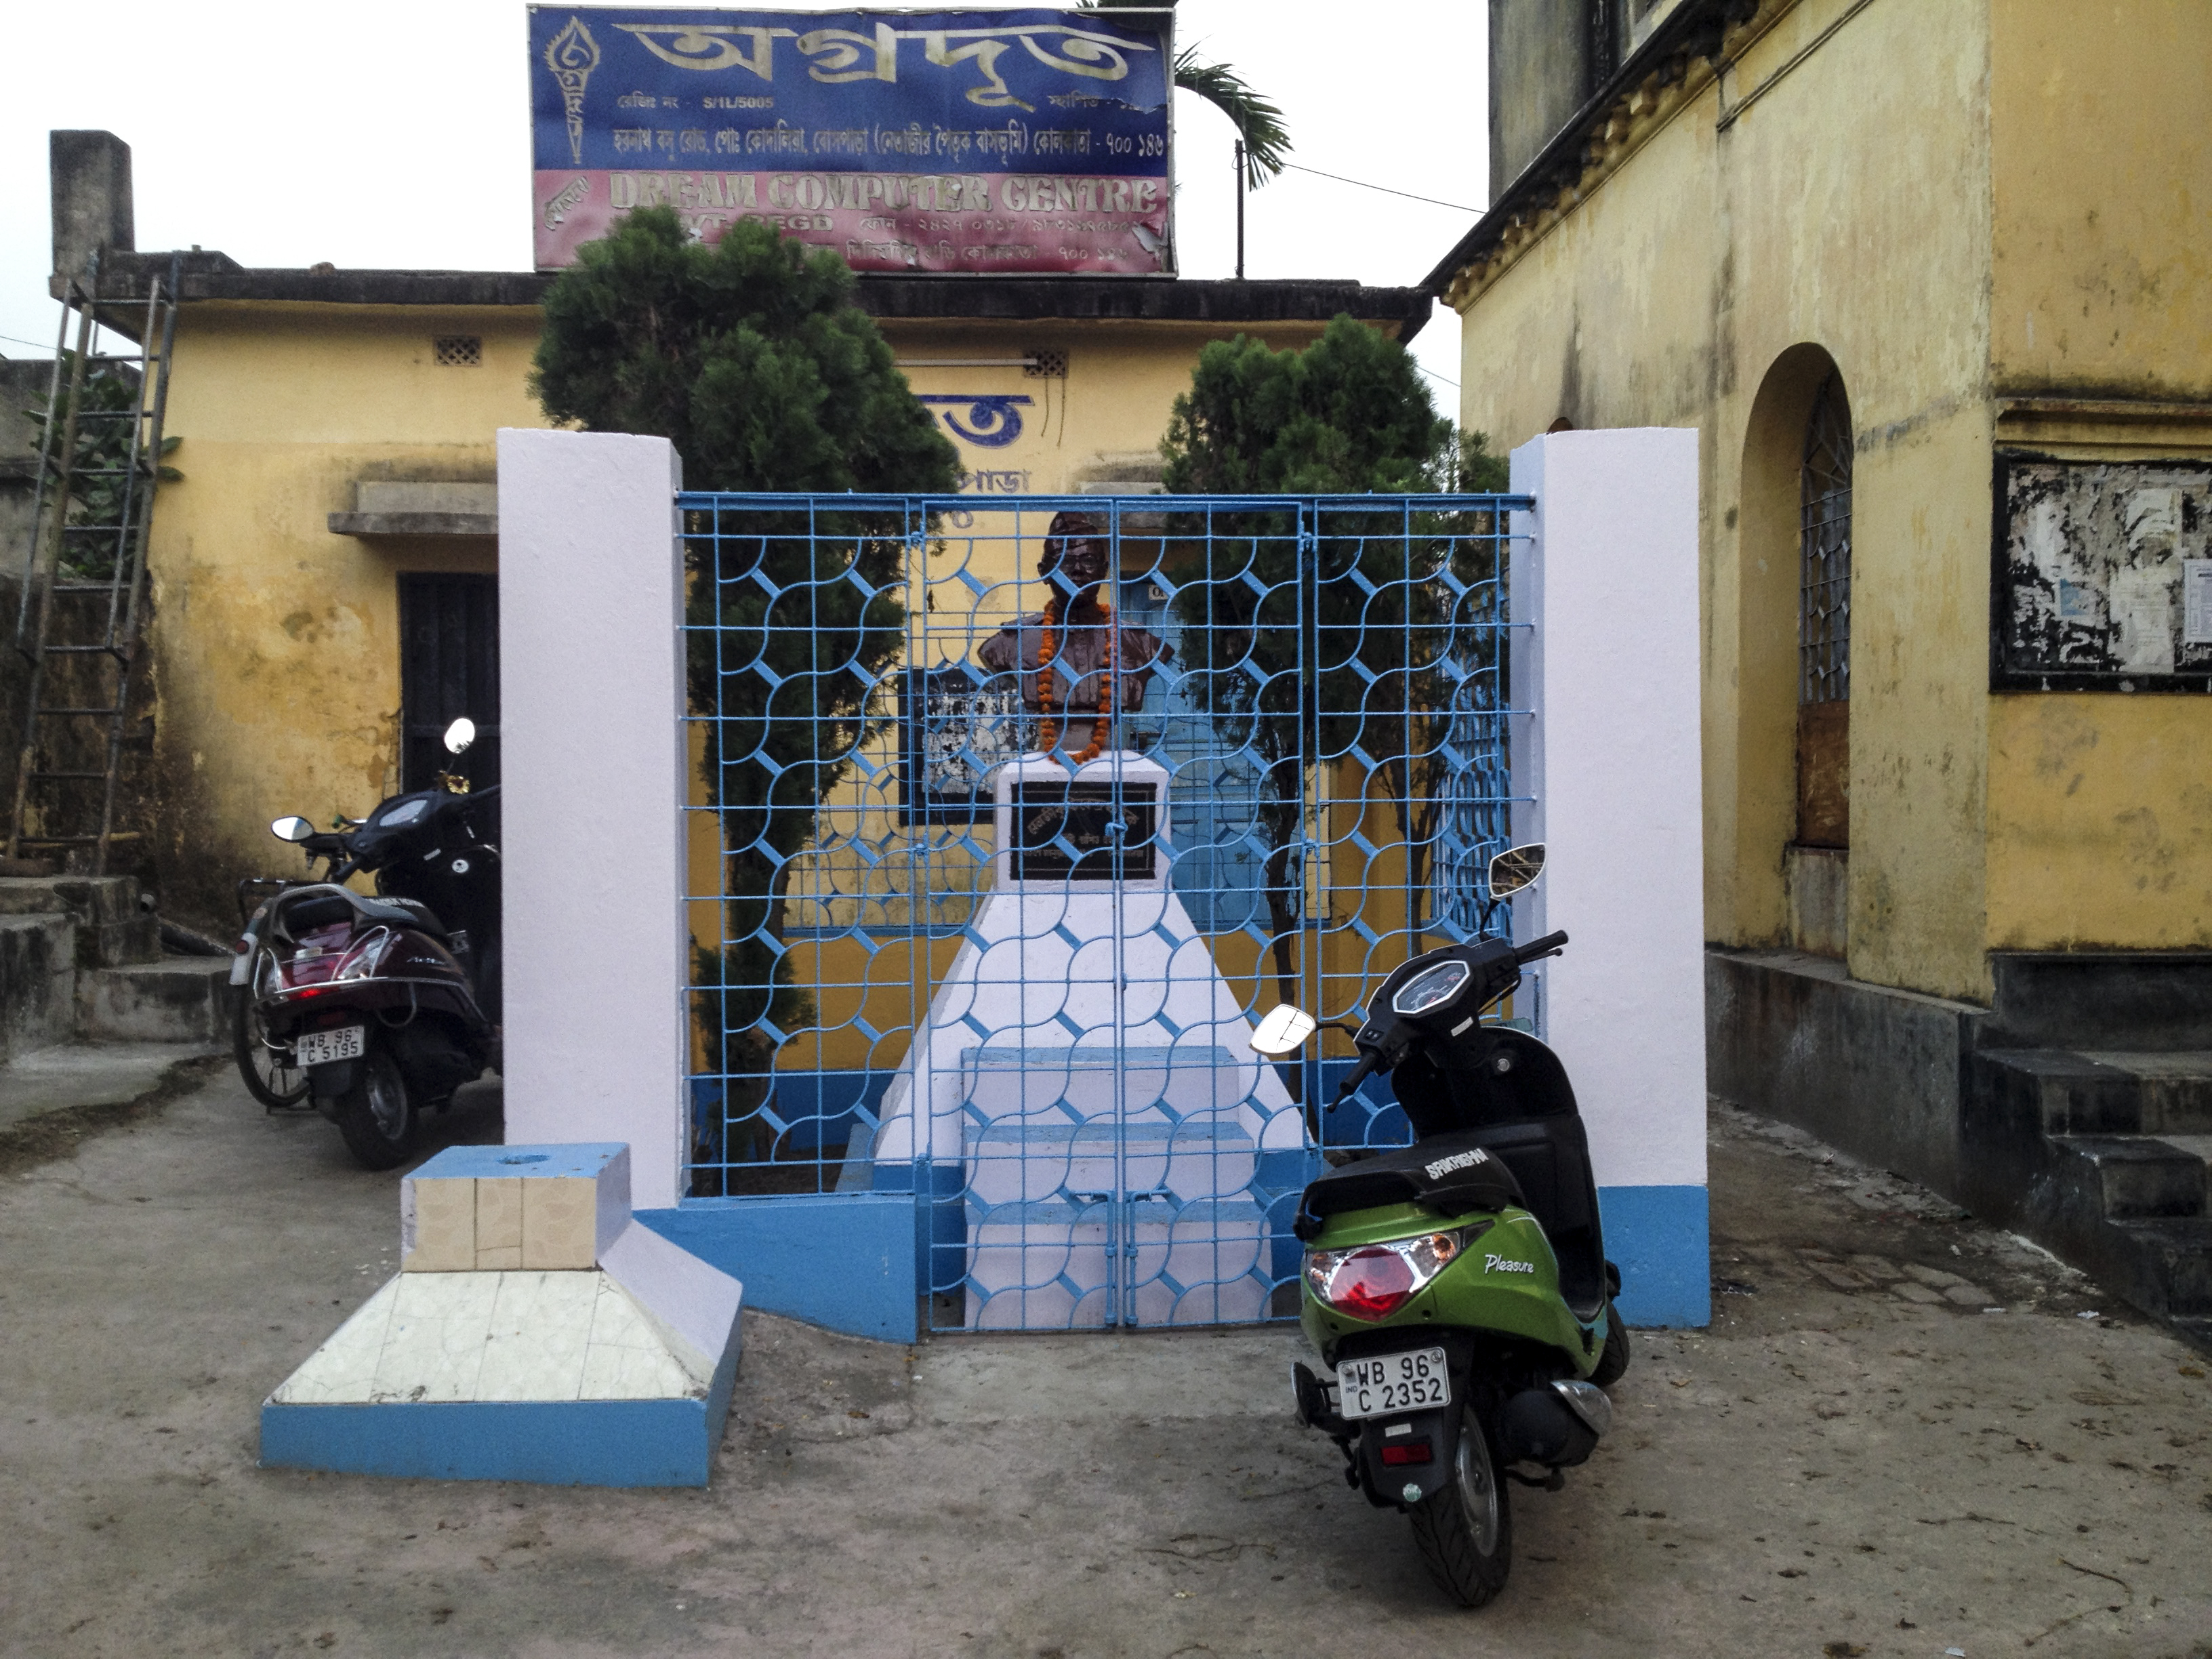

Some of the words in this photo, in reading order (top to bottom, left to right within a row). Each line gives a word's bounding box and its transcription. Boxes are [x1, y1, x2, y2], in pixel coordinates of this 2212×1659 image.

[615, 18, 1158, 119] অগ্রদূত
[613, 83, 661, 113] রেজিঃ
[656, 91, 682, 114] নং
[699, 92, 778, 112] S/IL/5005
[1043, 83, 1106, 115] স্থাপিত
[607, 123, 655, 157] হরনাথ
[652, 121, 712, 165] বসু রোড,
[709, 118, 744, 158] পোঃ
[743, 113, 812, 159] কোদালিয়া
[807, 126, 874, 159] বোসপাড়া
[877, 119, 939, 159] নেতাজীর
[926, 117, 975, 165] পৈতৃক
[975, 111, 1029, 171] বাসভূমি)
[1029, 126, 1095, 160] কোলকাতা
[1103, 129, 1174, 160] ৭০০ ১৪৬
[605, 167, 762, 212] DREAM
[765, 164, 994, 218] COMPUTER
[998, 168, 1160, 219] CENTRE
[855, 211, 899, 236] ফোন
[910, 213, 1019, 235] ২৪২৭০৩১৮
[298, 1021, 367, 1067] WB96C5195
[1421, 1141, 1496, 1185] SRIKRISHNA
[1479, 1249, 1540, 1279] Pleasure
[1349, 1342, 1449, 1421] WB96C2352